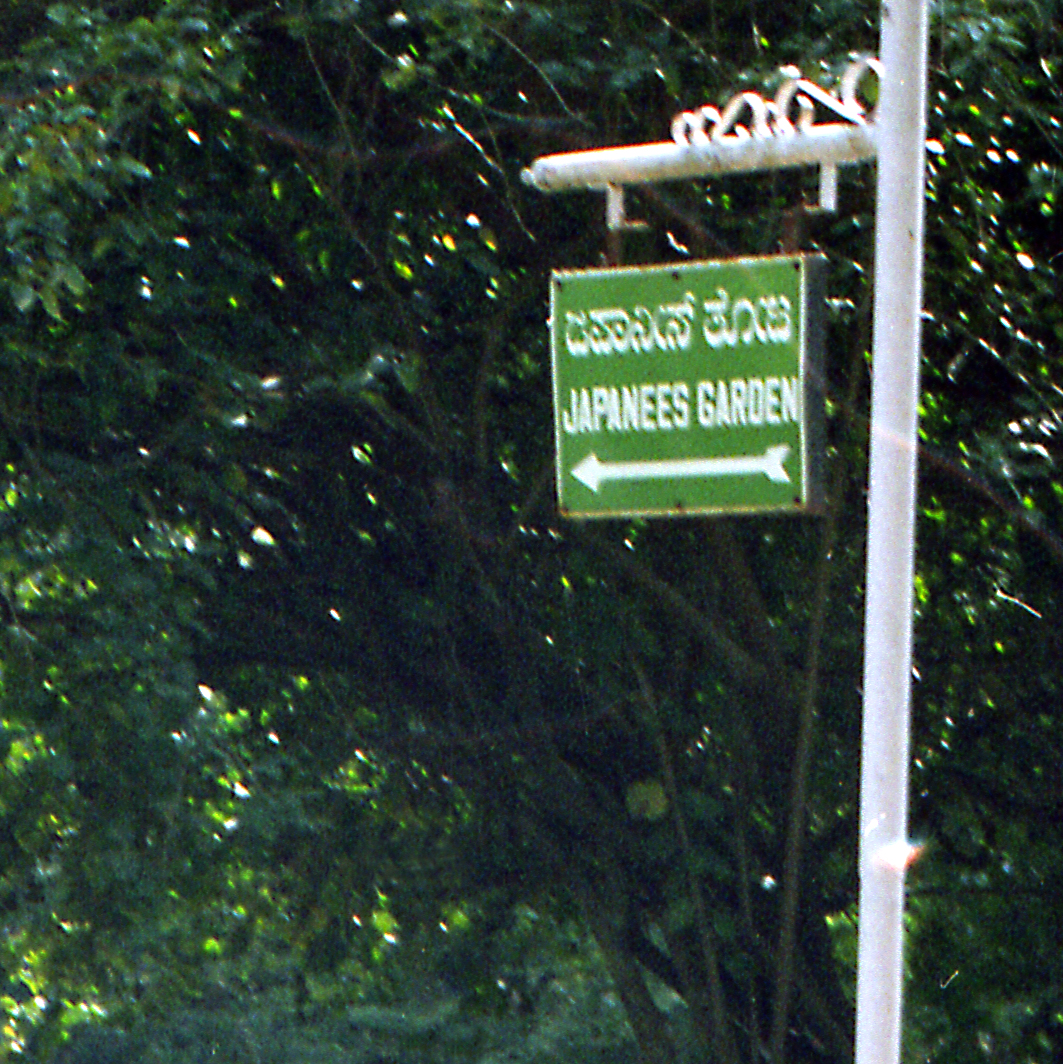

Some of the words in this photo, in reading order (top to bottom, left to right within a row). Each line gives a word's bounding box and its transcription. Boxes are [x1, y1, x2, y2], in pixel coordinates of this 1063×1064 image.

[555, 283, 700, 365] ಜಪಾನೀನ್
[698, 281, 795, 357] ತೋಟ
[552, 370, 698, 443] JAPANEES
[692, 366, 806, 436] GARDEN